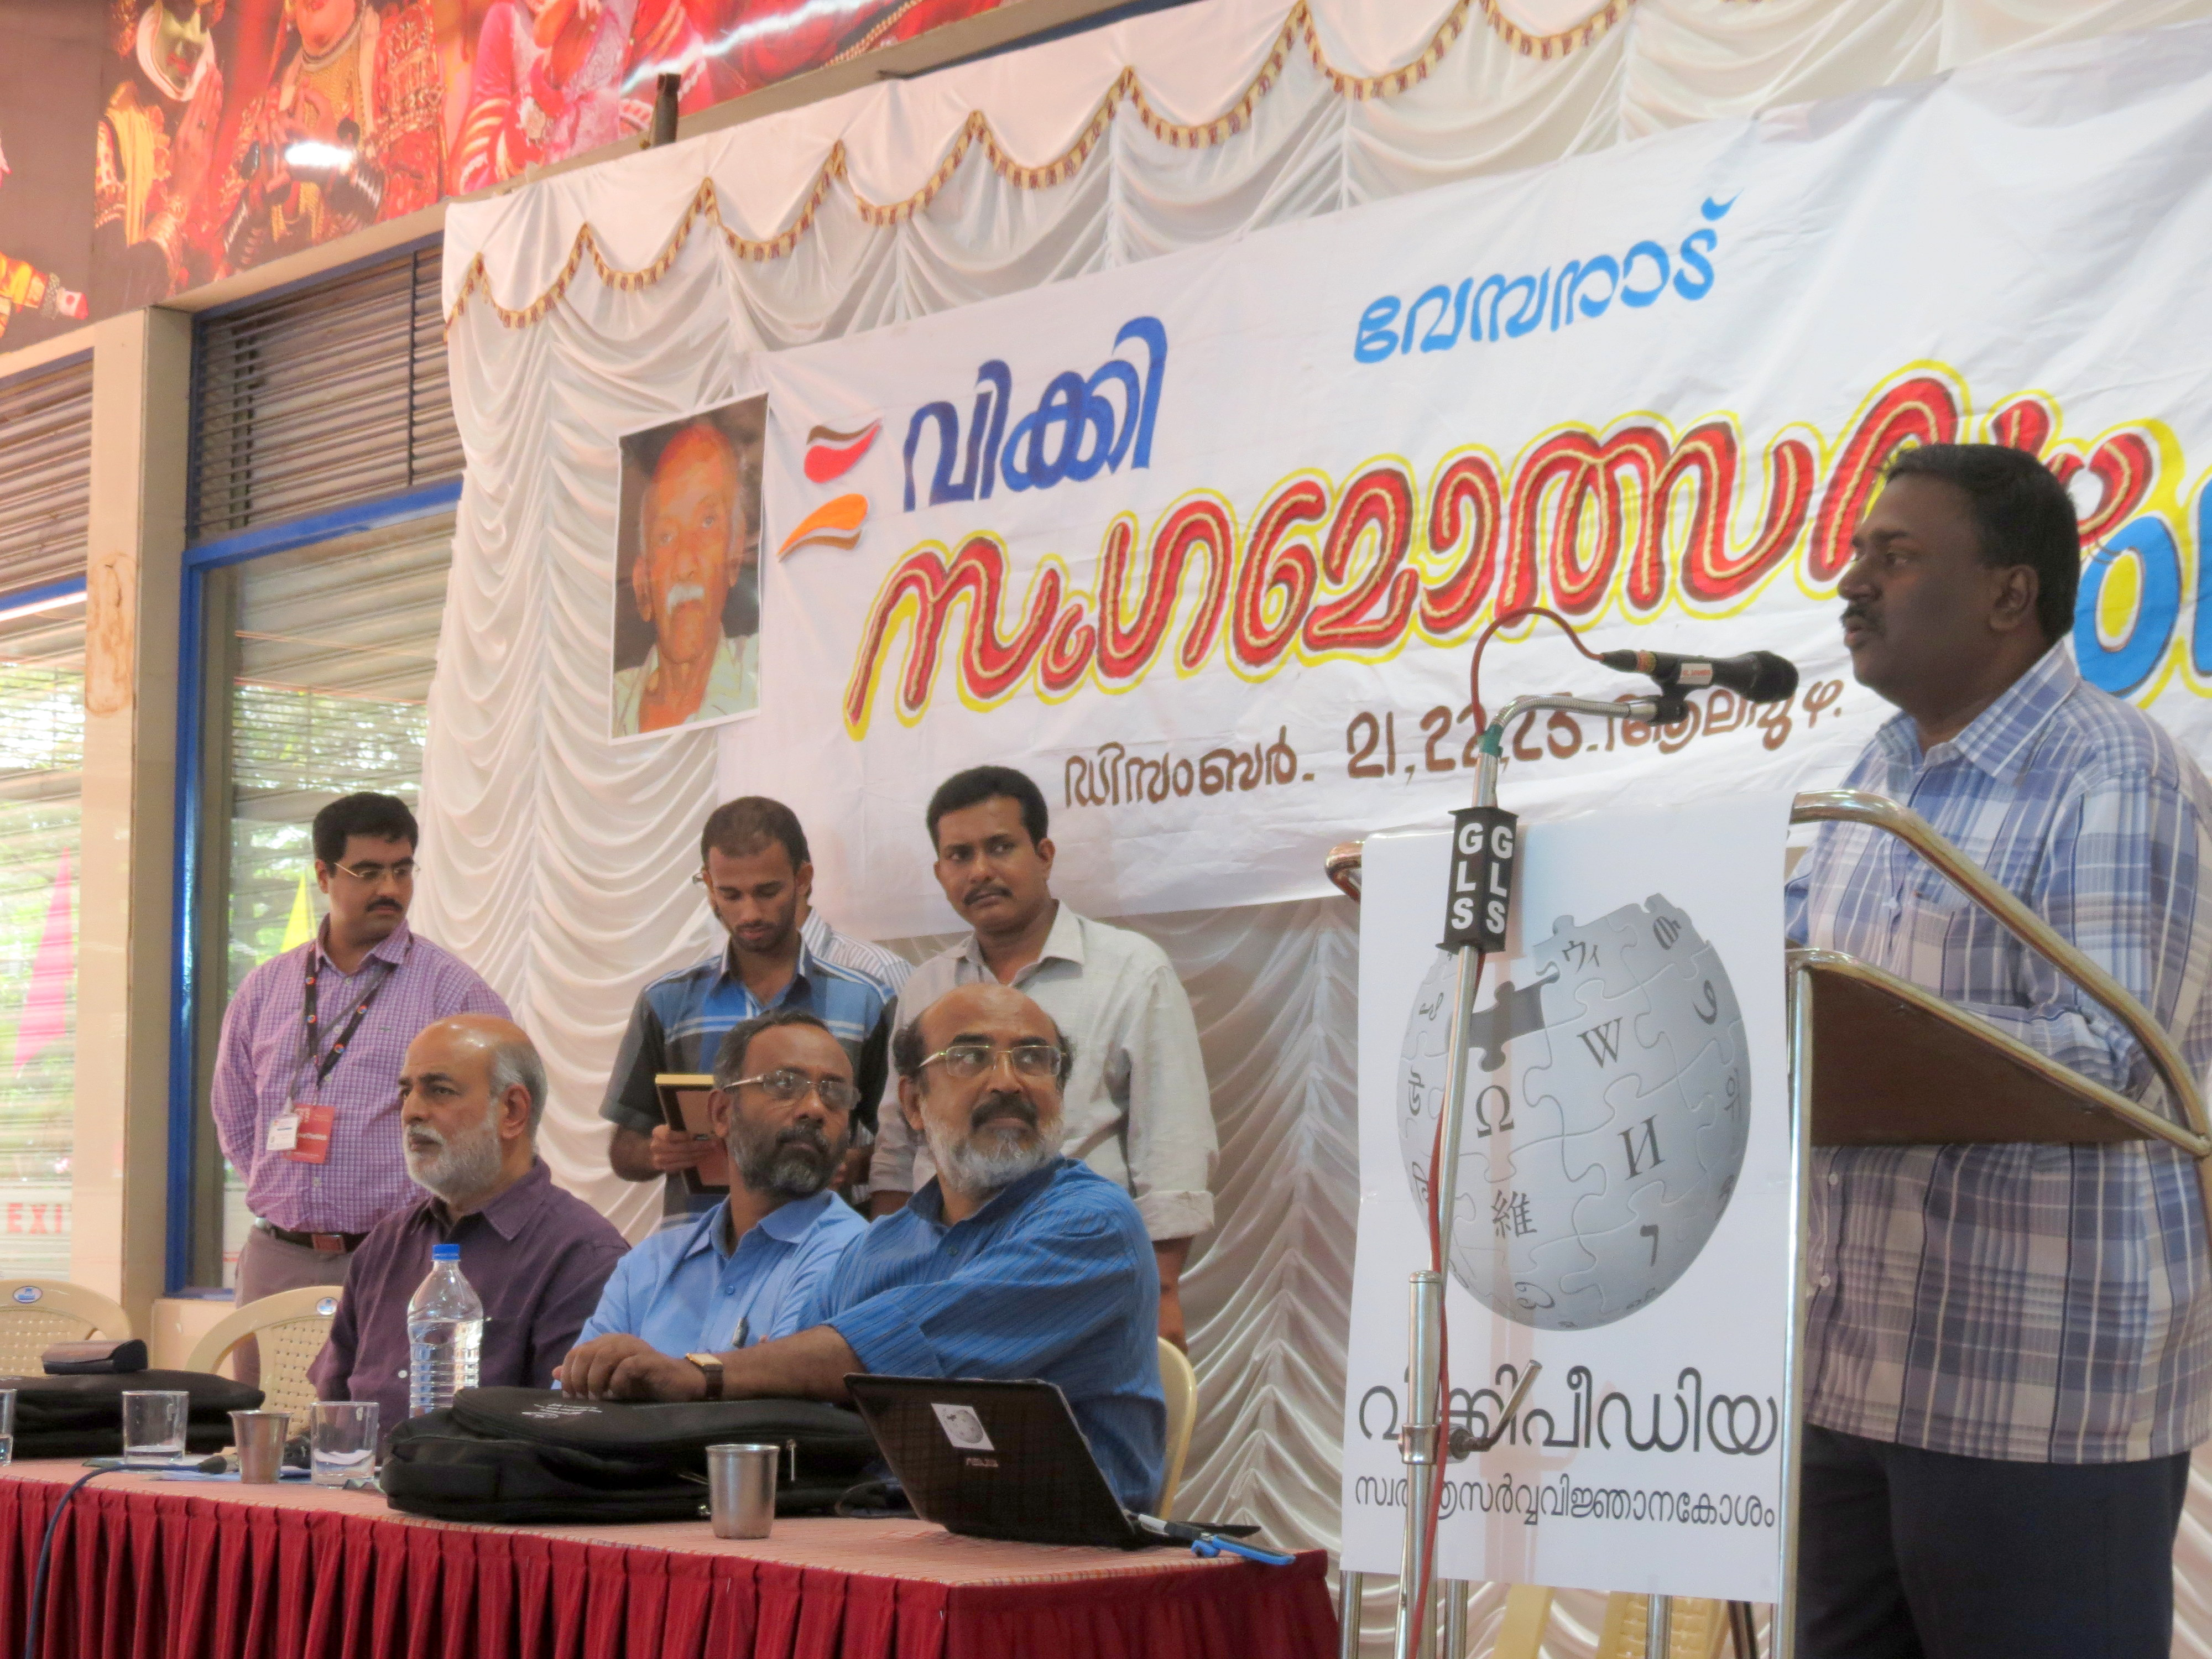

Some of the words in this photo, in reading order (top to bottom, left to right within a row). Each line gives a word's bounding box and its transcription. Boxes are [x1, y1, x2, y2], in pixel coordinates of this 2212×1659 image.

[1342, 189, 1746, 373] വേമ്പനാട്
[897, 310, 1171, 517] വിക്കി
[838, 354, 2077, 742] സംഗമോത്സ
[1056, 714, 1304, 808] ഡിസംബർ
[1335, 1467, 1781, 1534] സ്വര സർവ്വവിജ്ഞാനകോശം
[1350, 1356, 1787, 1461] വിക്കപീസിയ